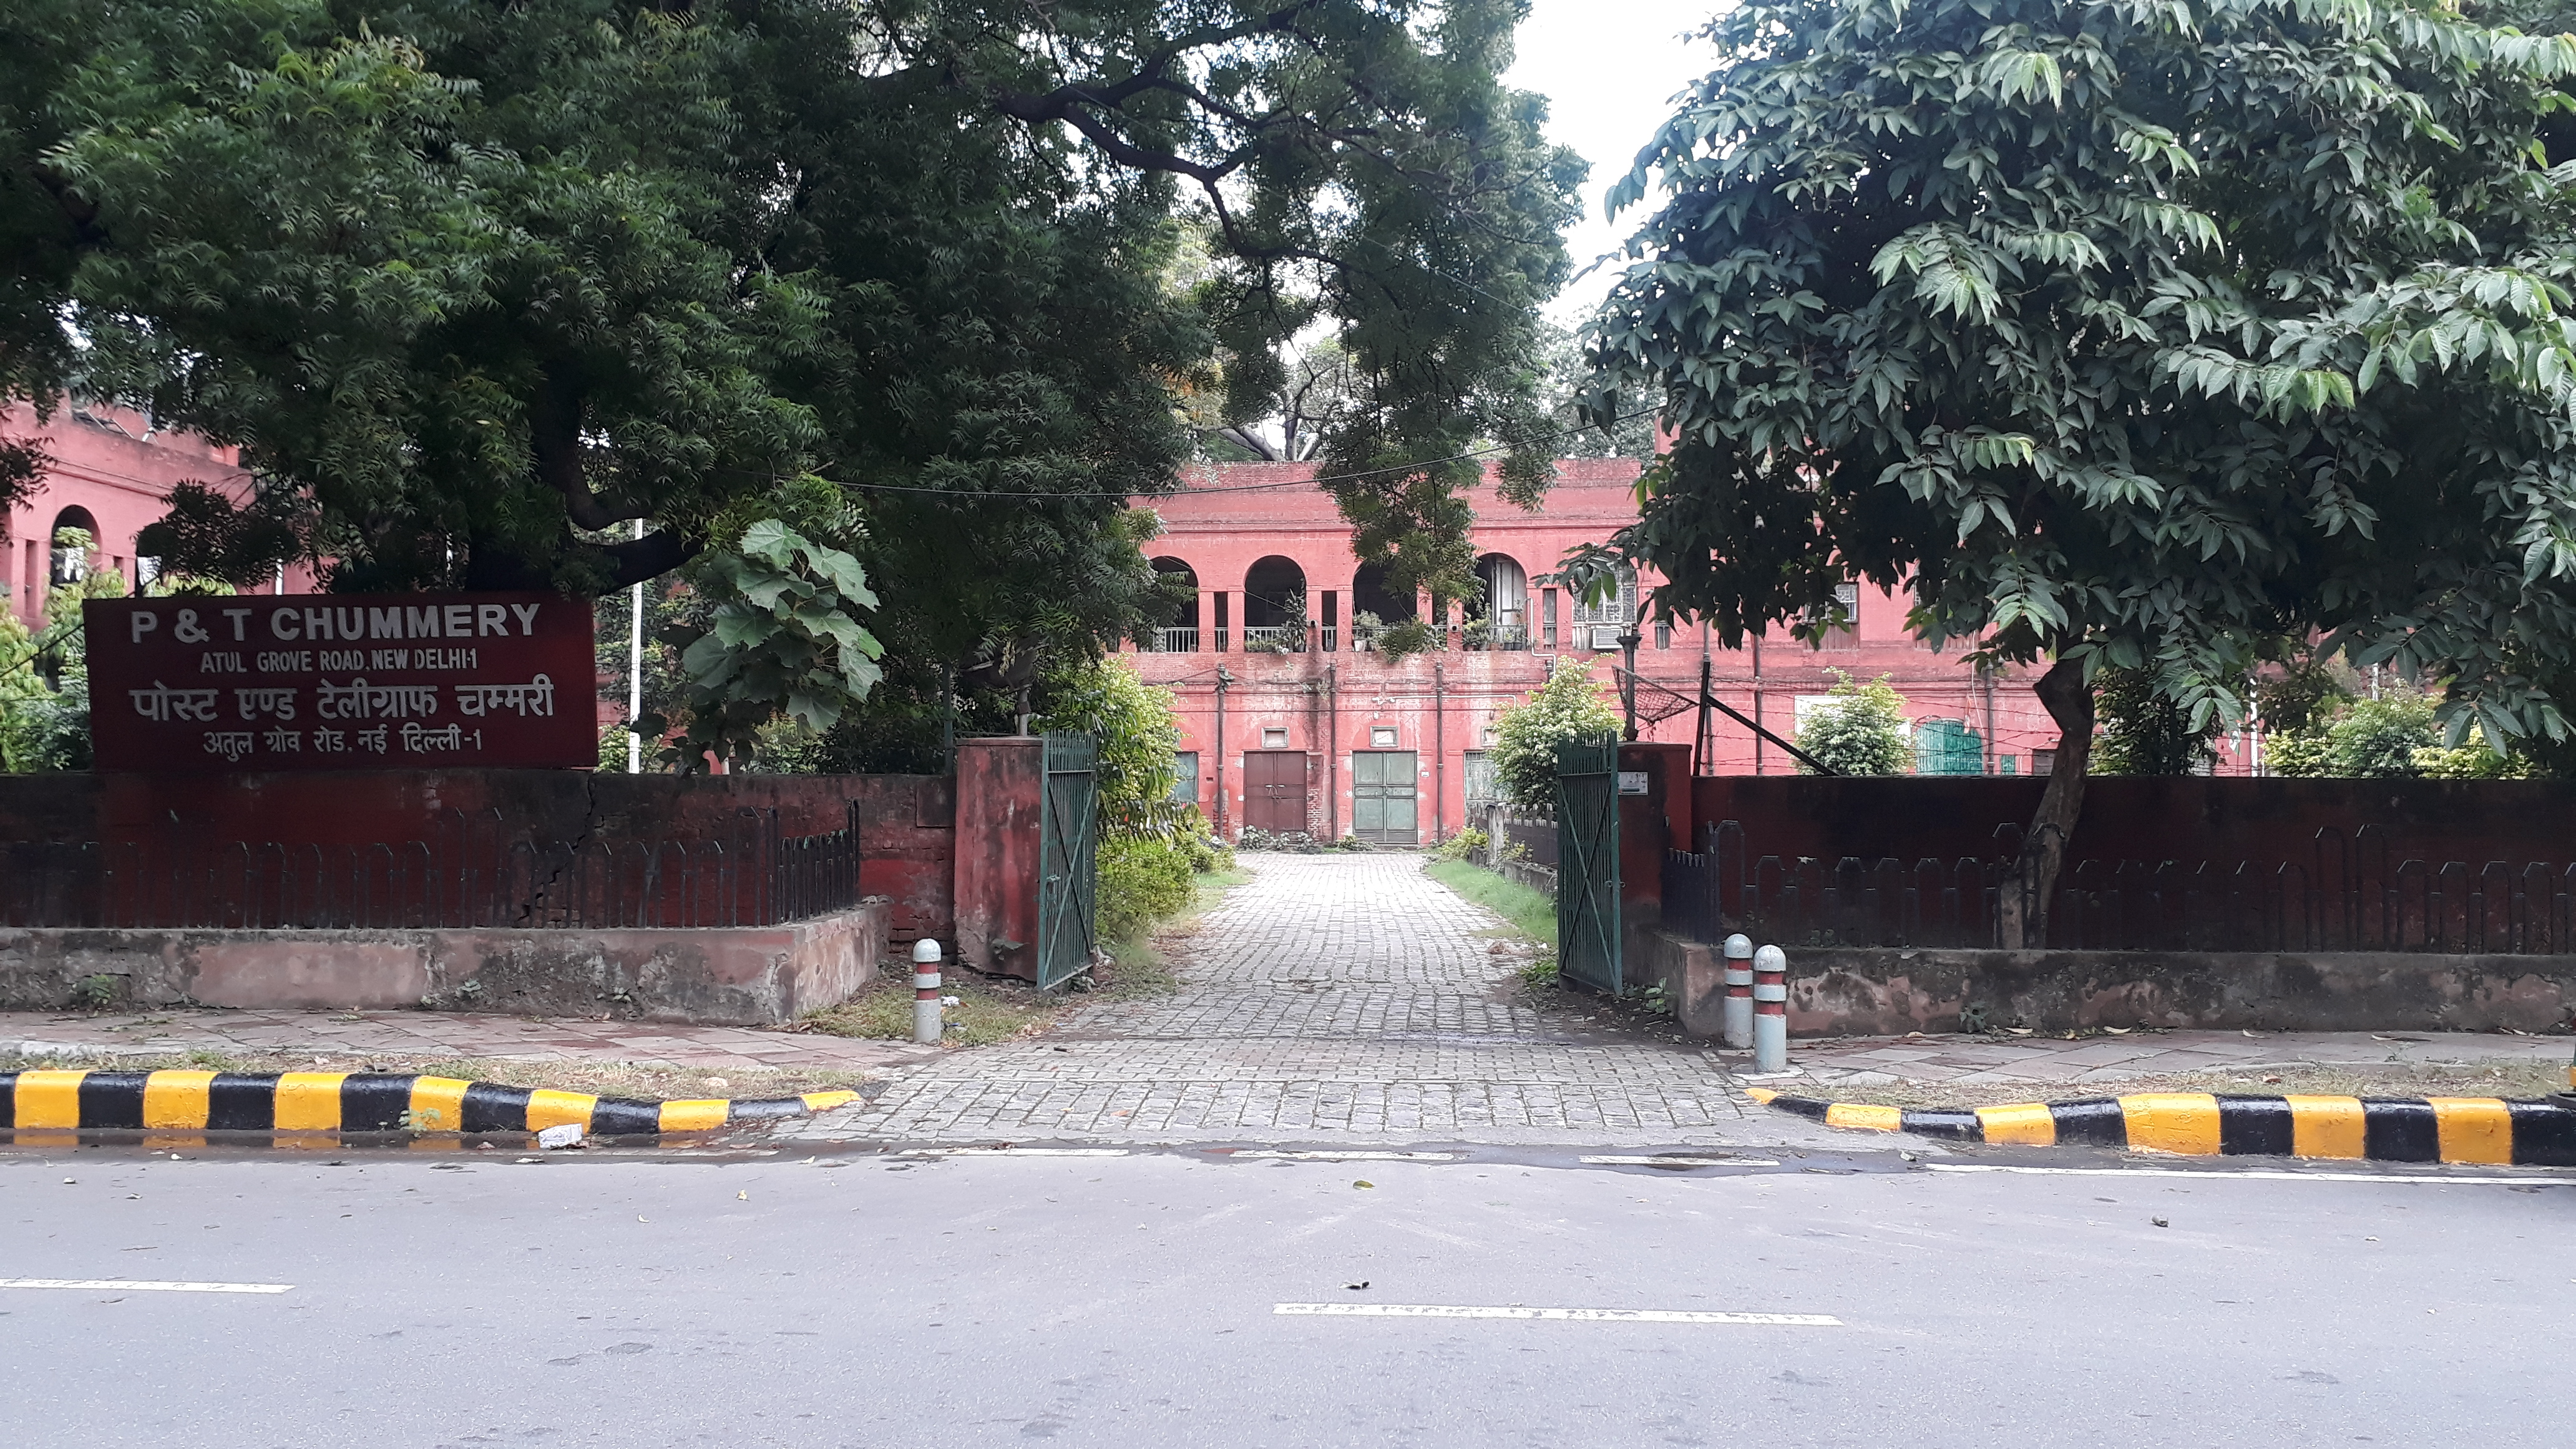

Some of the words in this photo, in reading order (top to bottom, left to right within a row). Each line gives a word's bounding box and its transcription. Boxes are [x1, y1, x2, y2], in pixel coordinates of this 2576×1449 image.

[129, 607, 160, 646] P
[172, 607, 212, 648] &
[222, 607, 253, 648] T
[268, 600, 542, 646] CHUMMERY
[199, 650, 250, 677] ATUL
[250, 649, 315, 677] GROVE
[317, 648, 367, 675] ROAD.
[369, 647, 411, 673] NEW
[413, 647, 480, 672] DELHI-1
[127, 677, 222, 727] पोस्ट
[234, 685, 299, 724] एण्ड
[315, 675, 439, 723] टेलीग्राफ
[454, 670, 555, 720] चम्मरी
[200, 729, 256, 767] अतुल
[263, 722, 303, 756] ग्रोव
[310, 721, 348, 755] रोड
[354, 721, 390, 757] नई
[396, 717, 464, 759] दिल्ली